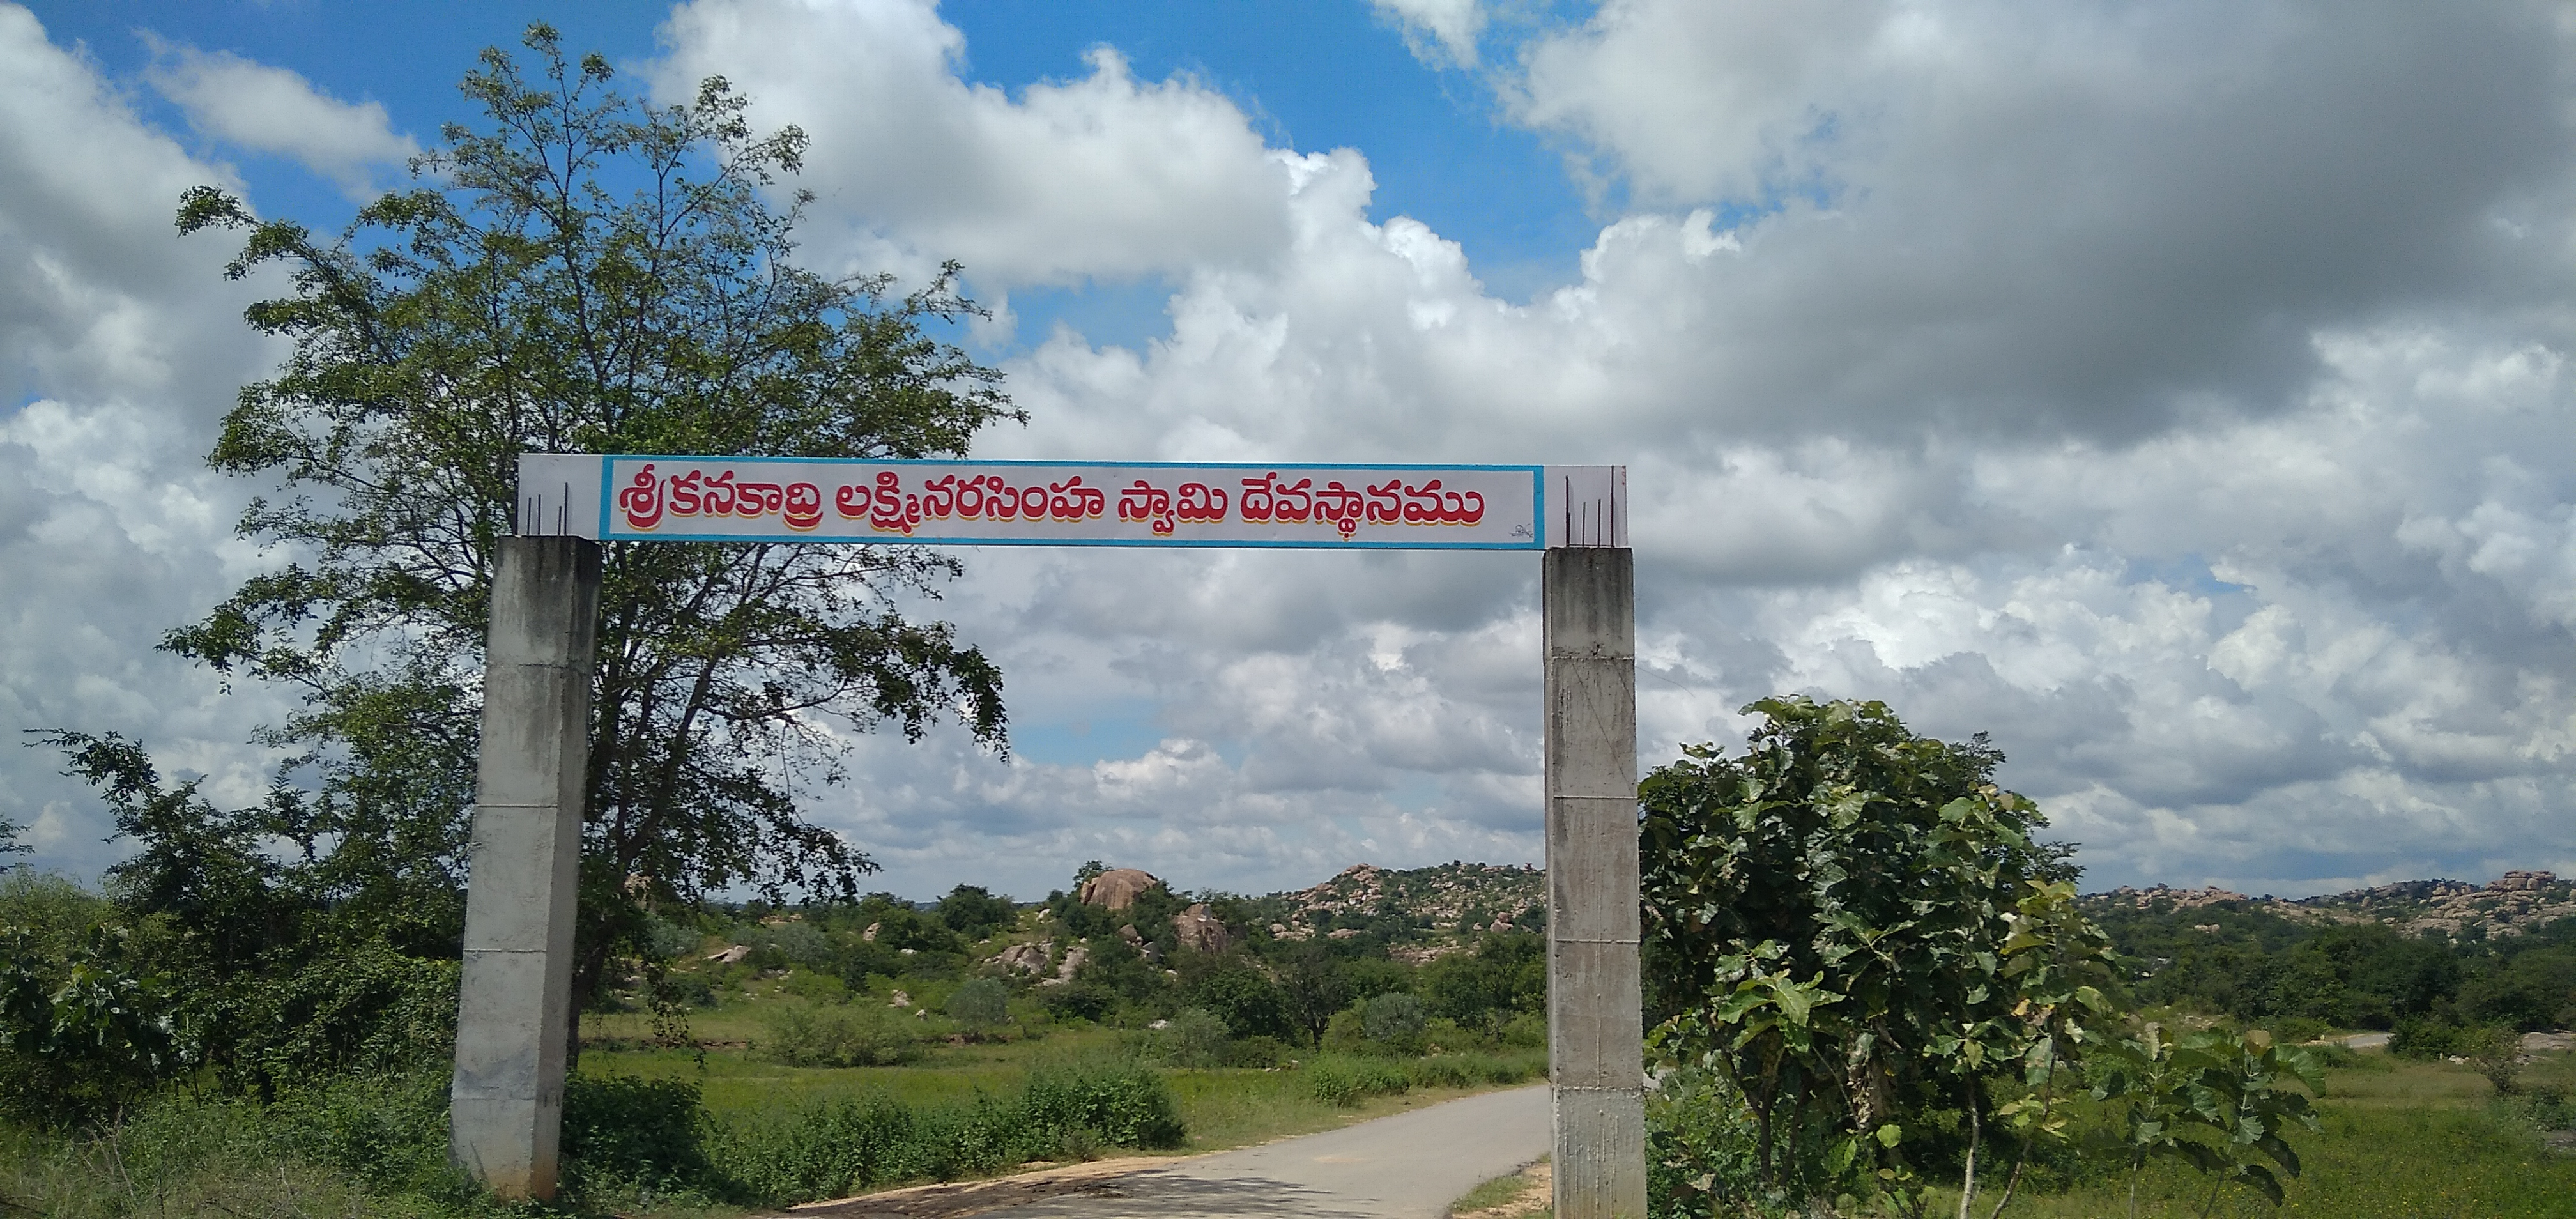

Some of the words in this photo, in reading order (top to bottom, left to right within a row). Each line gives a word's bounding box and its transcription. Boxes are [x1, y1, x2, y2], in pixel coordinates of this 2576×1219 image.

[616, 457, 670, 535] శ్రీ
[666, 463, 827, 533] కనకాద్రి
[833, 464, 1108, 537] లక్ష్మినరసింహ
[1115, 475, 1230, 538] స్వామి
[1233, 464, 1487, 542] దేవస్థానము